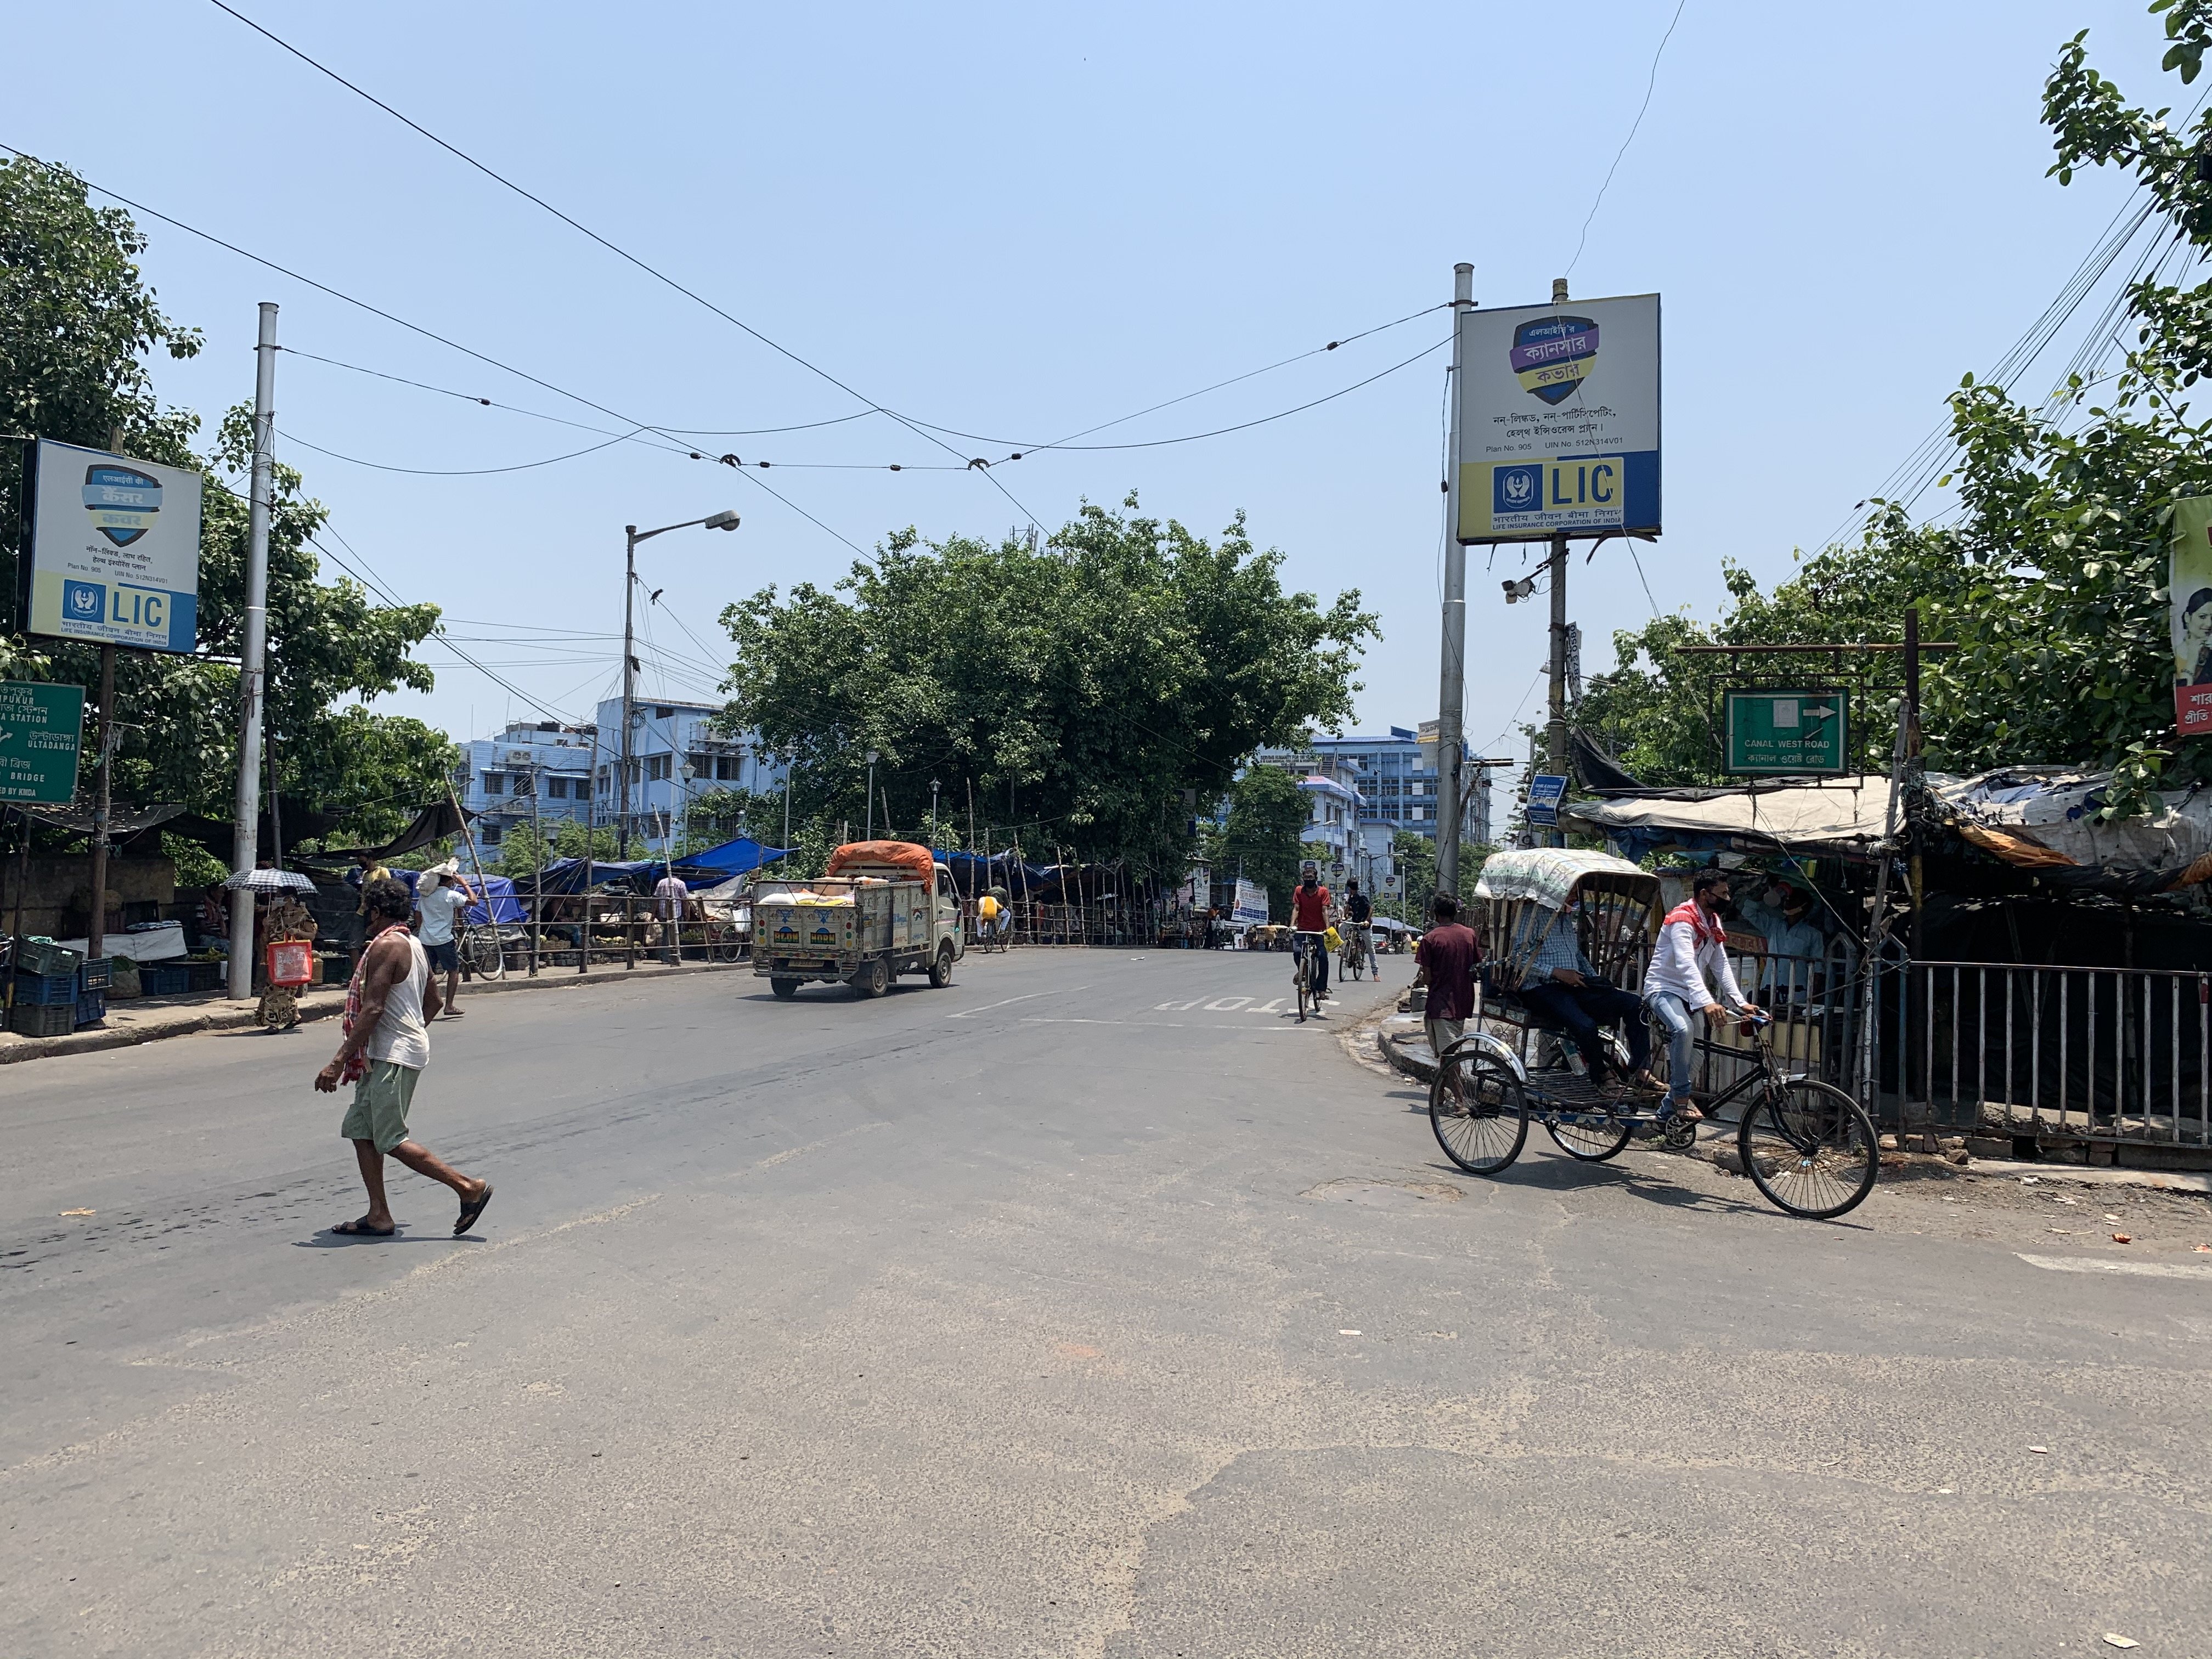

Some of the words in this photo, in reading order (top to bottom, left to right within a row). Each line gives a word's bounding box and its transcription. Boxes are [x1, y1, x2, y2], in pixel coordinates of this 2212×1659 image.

[1528, 319, 1578, 338] এলআইসি'র
[1519, 334, 1589, 364] ক্যানসার
[1532, 360, 1583, 386] কভার
[1489, 410, 1538, 426] নন্-লিঙ্কড,
[1539, 409, 1559, 424] নন্
[1562, 402, 1619, 422] পার্টিসিপেটিং,
[1482, 443, 1504, 457] Plan
[1499, 444, 1516, 454] No.
[1503, 426, 1534, 441] হেল্থ
[1515, 439, 1537, 454] 905
[1529, 422, 1577, 437] ইন্সিওরেন্স
[1539, 437, 1575, 452] UINNO
[1576, 422, 1601, 436] প্ল্যান
[1574, 432, 1624, 450] 512N314V01
[101, 471, 137, 487] एलआईसी
[131, 474, 146, 487] की
[1550, 458, 1619, 507] LIC
[94, 479, 147, 507] कैंसर
[101, 511, 143, 530] कवर
[1491, 521, 1509, 533] LIFE
[1490, 511, 1531, 524] भारतीय
[1505, 520, 1544, 533] INSURANCE
[1532, 505, 1564, 524] जीवन
[1542, 516, 1594, 528] CORPORATION
[1565, 504, 1592, 521] बीमा
[1590, 516, 1604, 527] OF
[1590, 504, 1623, 518] निगम
[1598, 516, 1623, 526] INDIA
[65, 560, 91, 575] PlanNo
[89, 565, 106, 577] 905
[89, 551, 108, 567] हेल्थ
[83, 541, 121, 560] नॉन-लिंक्ड,
[104, 556, 132, 571] इंश्योरेंस
[112, 567, 136, 582] UINNo
[120, 550, 139, 563] लाभ
[127, 561, 150, 572] प्लान
[134, 549, 157, 565] रहित,
[131, 570, 171, 586] 512N314V01
[111, 588, 168, 633] LIC
[58, 627, 73, 637] LIFE
[59, 618, 96, 633] भारतीय
[70, 627, 108, 641] INSURANCE
[93, 620, 123, 636] जीवन
[105, 630, 146, 645] CORPORATION
[119, 623, 145, 640] बीमा
[142, 636, 154, 646] OF
[139, 628, 170, 642] निगम
[152, 638, 168, 648] INDIA
[2, 682, 35, 699] তপুকুর
[1, 692, 36, 709] PUKUR
[8, 709, 49, 726] STATION
[15, 702, 50, 716] স্টেশন
[2177, 703, 2211, 727] প্রীতি
[25, 738, 78, 754] ULTADANGA
[26, 728, 78, 747] উল্টাডাঙ্গা
[1743, 735, 1777, 752] CANAL
[1775, 737, 1804, 751] WEST
[1803, 737, 1831, 751] ROAD
[6, 755, 34, 774] ব্রিজ
[1744, 751, 1779, 765] ক্যানাল
[1775, 748, 1804, 769] ওয়েষ্ট
[1799, 750, 1827, 768] রোড
[7, 769, 49, 785] BRIDGE
[7, 786, 18, 798] BY
[14, 786, 38, 800] KMDA